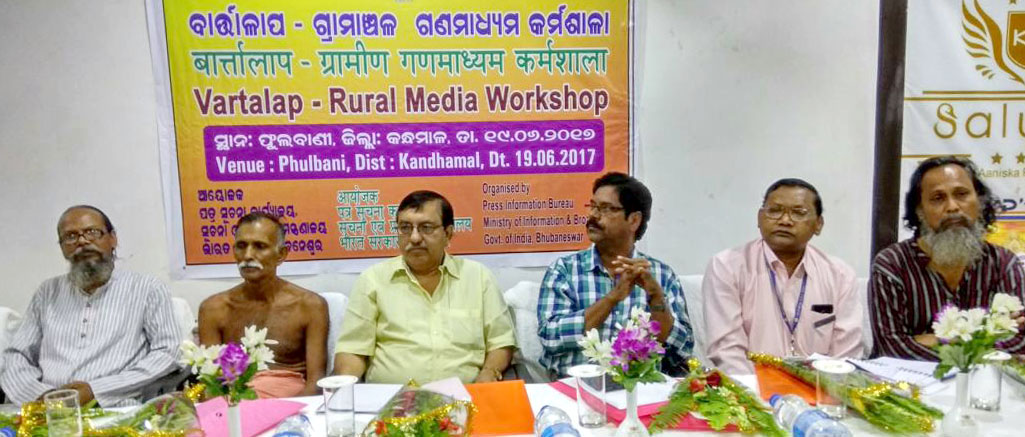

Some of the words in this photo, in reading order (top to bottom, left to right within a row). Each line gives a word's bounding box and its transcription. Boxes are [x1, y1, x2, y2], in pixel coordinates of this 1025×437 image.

[184, 0, 290, 43] ବାର୍ତ୍ତାଳାପ
[310, 7, 401, 47] ଗ୍ରାମାଞ୍ଚଳ
[411, 8, 526, 40] ଗଣମାଧ୍ୟମ
[525, 3, 611, 39] କର୍ମଶାଳା
[191, 37, 297, 82] बार्त्तालाप
[315, 42, 391, 76] ग्रामीण
[396, 43, 510, 83] गणमाध्यम
[512, 33, 613, 80] कर्मशाला
[193, 83, 305, 122] Vartalap
[326, 83, 399, 116] Rural
[402, 82, 478, 116] Media
[485, 83, 609, 118] Workshop
[928, 97, 1025, 145] Sal
[209, 128, 264, 155] ସ୍ଥାନ:
[257, 127, 339, 154] ଫୁଲବାଣୀ,
[337, 120, 387, 153] ଜିଲ୍ଲା:
[381, 125, 455, 150] କନ୍ଧମାଳ,
[451, 123, 483, 154] ତା.
[479, 123, 601, 148] ୧୯.୦୬.୨୦୧୭
[209, 151, 269, 181] Venue
[272, 149, 352, 177] Phulbani,
[349, 149, 392, 178] Dist
[393, 143, 487, 179] Kandhamal,
[481, 146, 513, 174] Dt.
[512, 143, 599, 175] 19.06.2017
[196, 205, 217, 223] ପତ୍ର
[195, 216, 235, 244] ସୂଚନା
[200, 240, 231, 259] ଭାରତ
[196, 186, 245, 204] ଆୟୋଜକ
[216, 201, 251, 227] ସୂଚନା
[285, 238, 323, 255] ଭୁବନେଶ୍ୱର
[281, 218, 329, 238] ମନ୍ତ୍ରଣାଳୟ
[331, 203, 355, 225] पत्र
[333, 229, 368, 254] भारत
[335, 217, 370, 238] सूचना
[335, 180, 384, 206] आयोजक
[350, 203, 387, 225] सुचना
[363, 215, 389, 236] एवं
[362, 230, 405, 254] सरकार
[475, 229, 507, 249] Govt
[479, 191, 507, 216] Press
[480, 214, 515, 233] Ministry
[477, 177, 525, 199] Organised
[498, 231, 515, 249] of
[505, 212, 524, 230] of
[510, 228, 536, 251] India,
[516, 177, 535, 197] by
[501, 191, 551, 214] Information
[517, 208, 569, 231] Information&
[533, 225, 589, 250] Bhubaneswar
[545, 192, 578, 213] Bureau